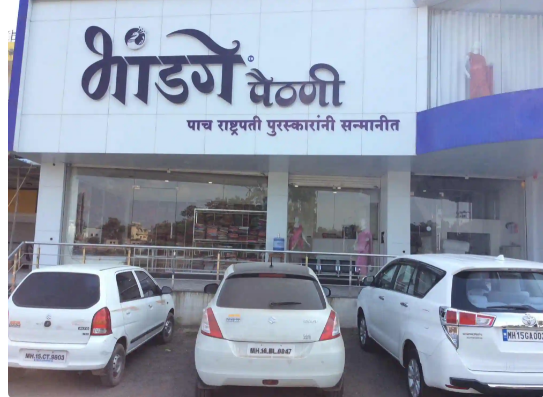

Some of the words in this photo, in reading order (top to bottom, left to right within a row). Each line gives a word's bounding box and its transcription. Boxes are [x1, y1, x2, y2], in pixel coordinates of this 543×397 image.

[72, 15, 260, 112] भांडगे
[243, 59, 350, 112] पैठणी
[183, 115, 215, 136] पाच
[213, 113, 264, 141] राष्ट्रपती
[263, 113, 338, 139] पुरस्कारांनी
[339, 111, 405, 135] सन्मानीत